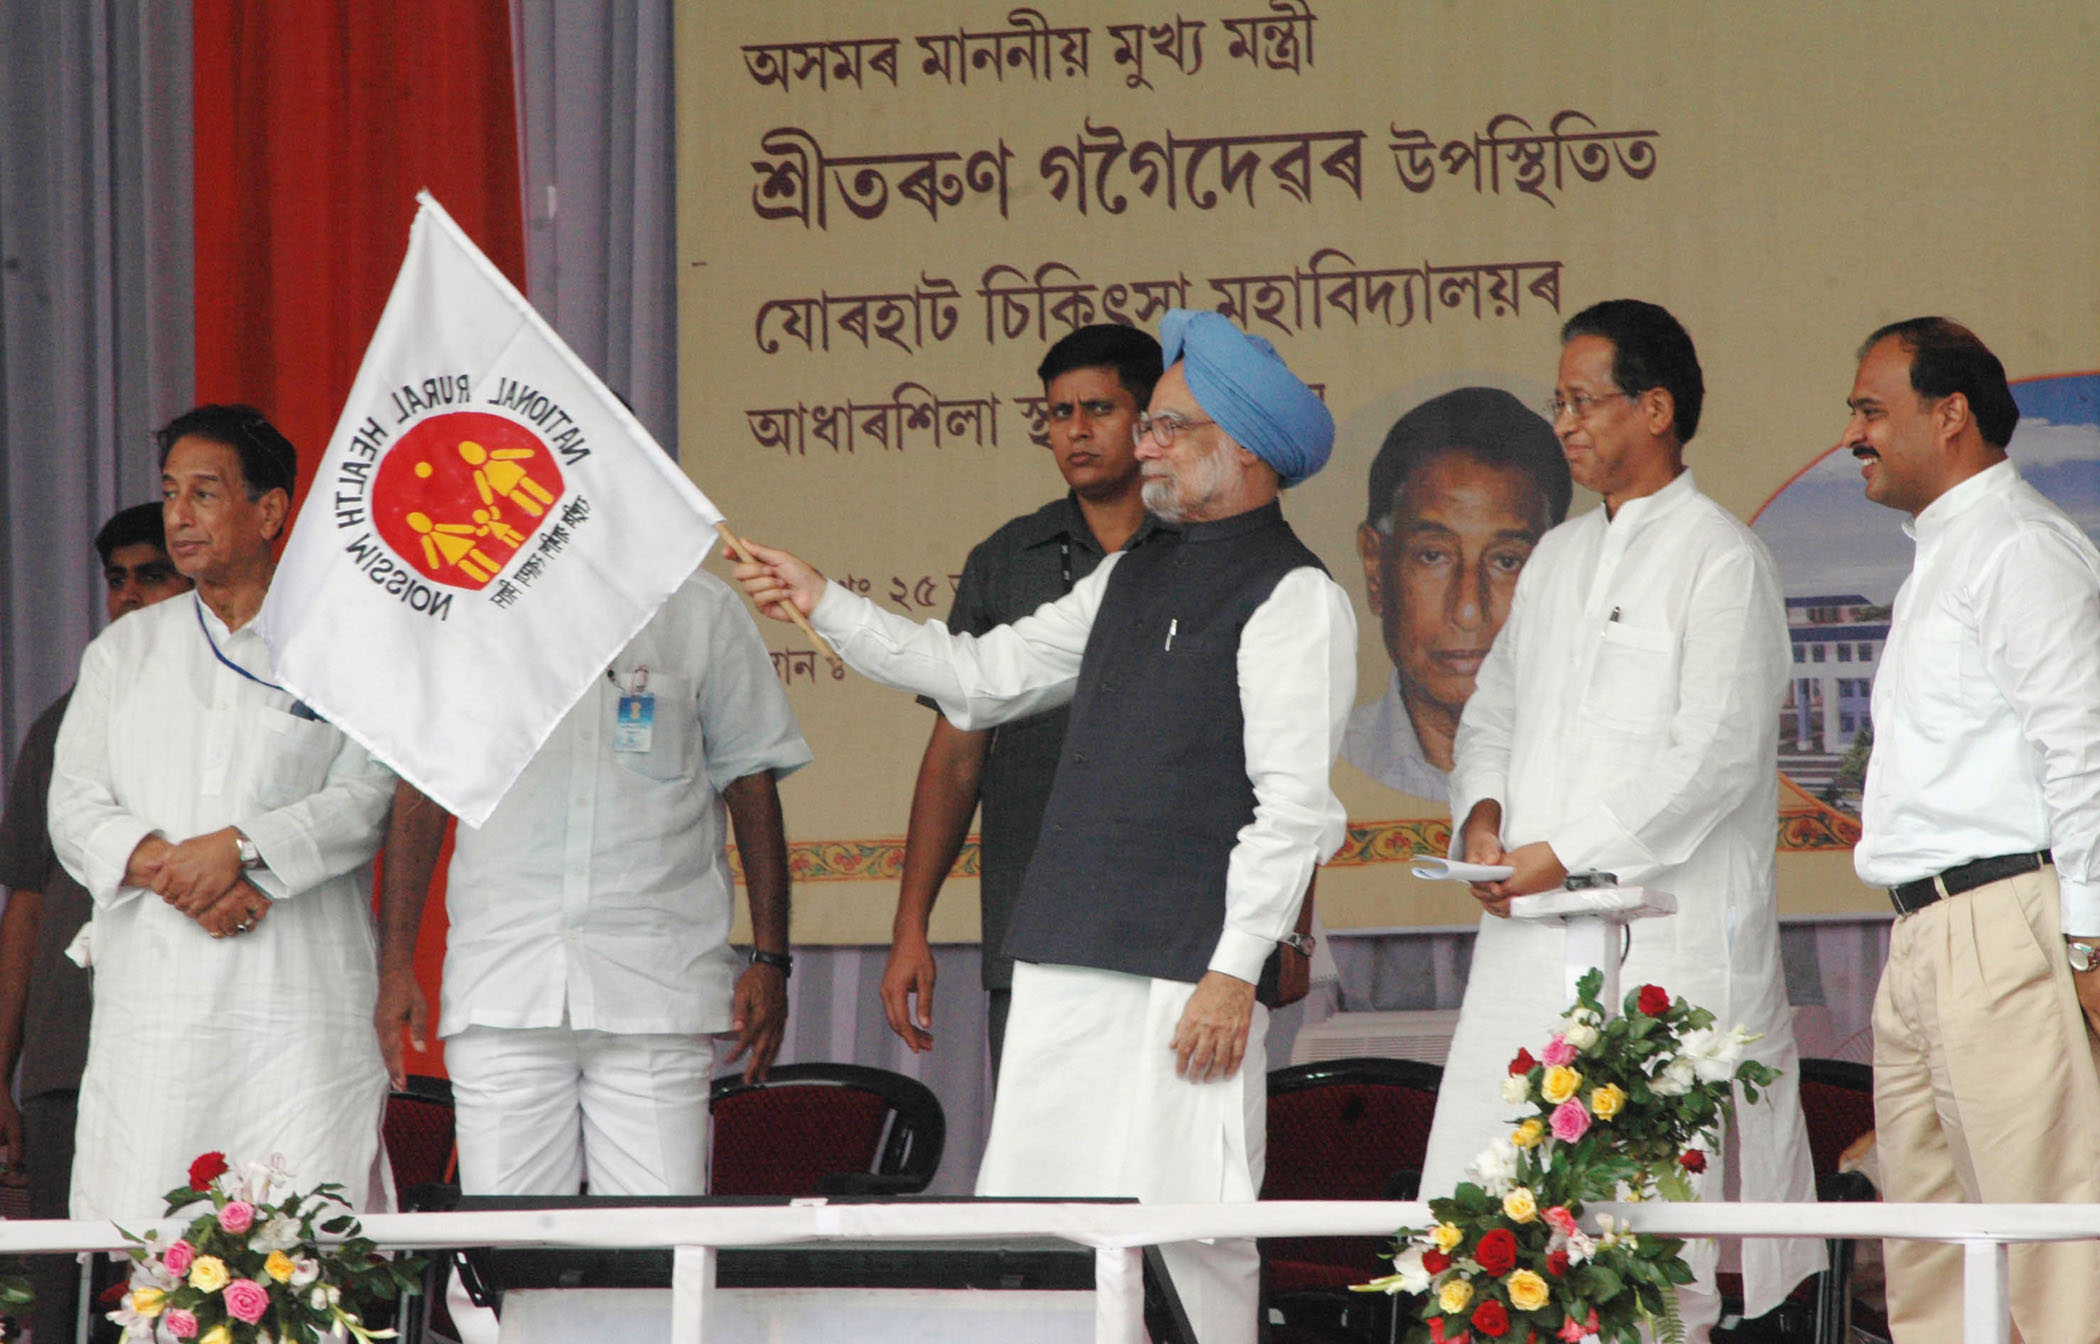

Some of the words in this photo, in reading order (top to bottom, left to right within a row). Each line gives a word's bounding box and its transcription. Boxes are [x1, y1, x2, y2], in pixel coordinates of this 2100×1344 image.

[738, 29, 899, 95] অসমৰ
[908, 9, 1094, 89] মাননীয়
[1102, 4, 1219, 98] মুখ্য
[1210, 0, 1327, 78] মন্ত্রী
[731, 115, 1016, 238] শ্ৰীতৰুণ
[1024, 110, 1385, 230] গগৈদেৱৰ
[1385, 111, 1657, 206] উপস্থিতিত
[751, 276, 968, 363] যোৰহাট
[979, 252, 1194, 351] চিকিৎসা
[1204, 230, 1576, 341] মহাবিদ্যালয়ৰ
[326, 407, 394, 534] HEALTH
[388, 365, 476, 425] RURAL
[489, 374, 592, 467] NATIONAL
[747, 385, 999, 462] আধাৰশিলা
[338, 529, 459, 625] MISSION